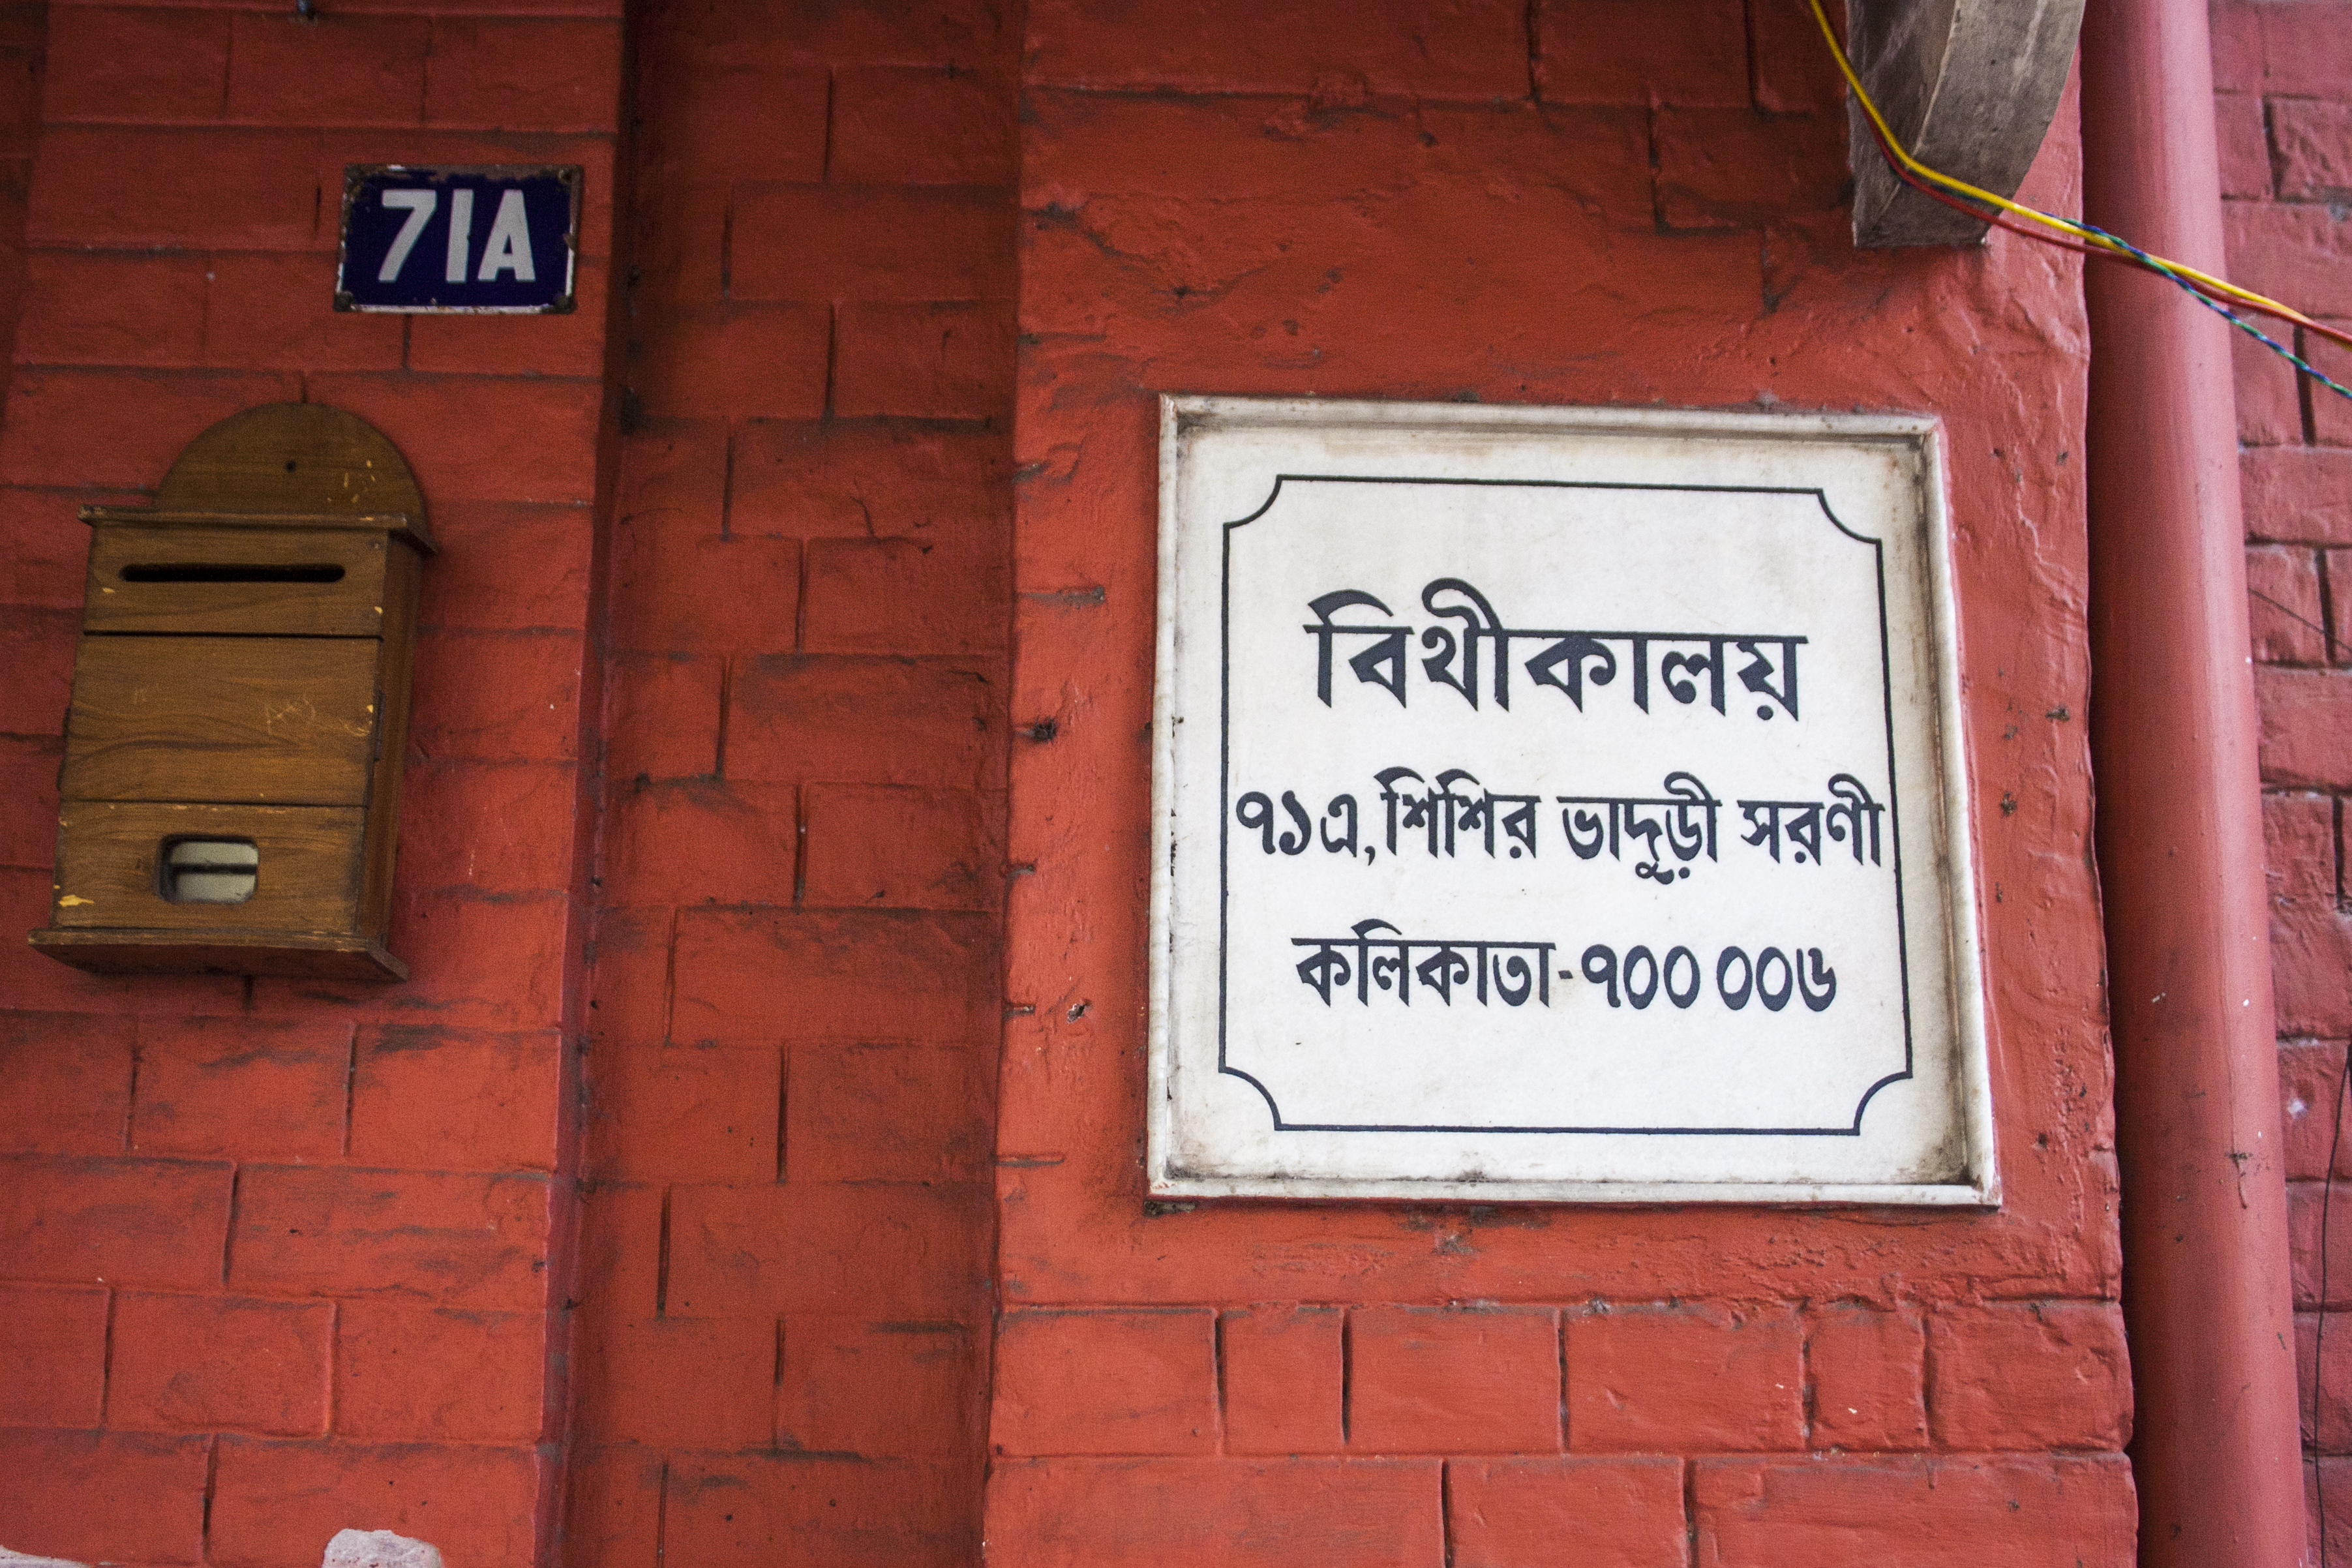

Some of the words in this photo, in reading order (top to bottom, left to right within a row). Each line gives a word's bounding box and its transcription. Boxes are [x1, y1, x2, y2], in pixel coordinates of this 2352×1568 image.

[359, 175, 546, 296] 7IA
[1288, 560, 1812, 732] বিথীকালয়
[1226, 777, 1367, 873] ৭১এ
[1367, 761, 1541, 867] শিশির
[1552, 761, 1734, 890] ভাদুড়ী
[1726, 761, 1896, 880] সরণী
[1286, 903, 1565, 1016] কলিকাতা
[1568, 933, 1858, 1021] ৭০০০০৬